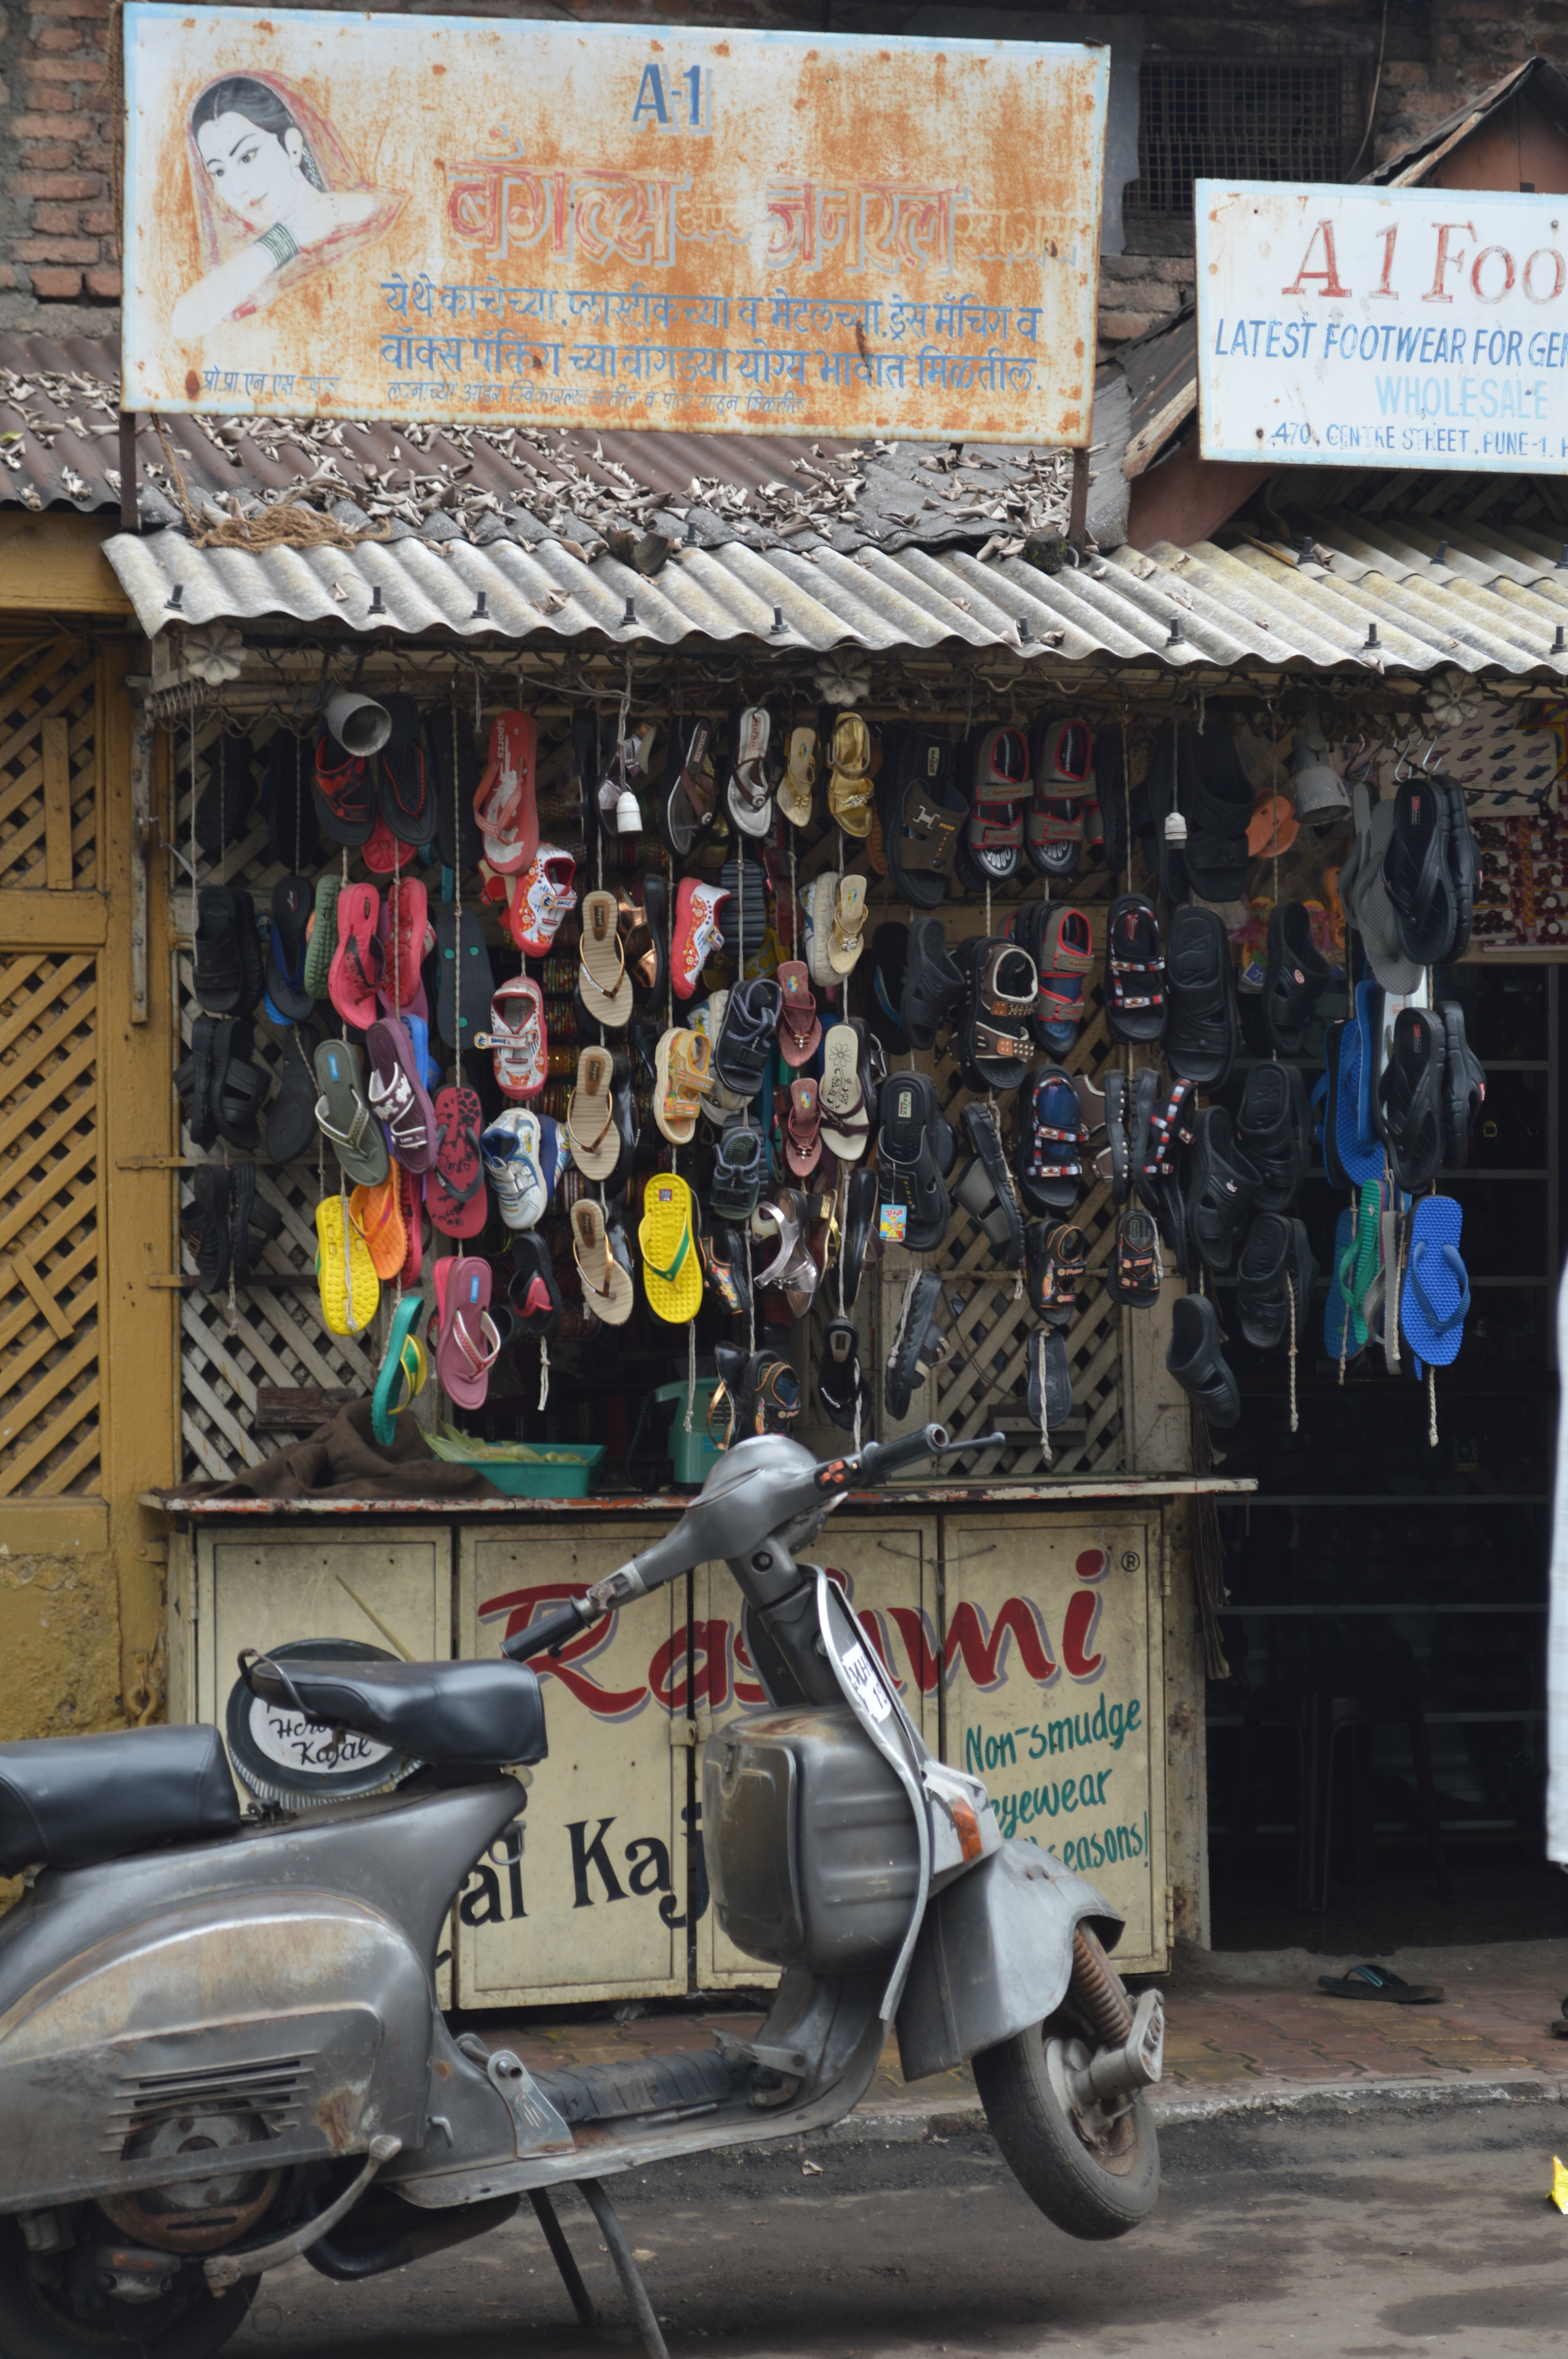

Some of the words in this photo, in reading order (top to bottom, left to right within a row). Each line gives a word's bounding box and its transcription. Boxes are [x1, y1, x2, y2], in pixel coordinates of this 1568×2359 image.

[626, 57, 712, 149] A-1
[433, 112, 705, 274] बँगल्स
[749, 166, 967, 285] जनरल
[1270, 211, 1360, 312] A
[1360, 212, 1415, 310] 1
[197, 362, 301, 403] प्रो.प्रा.एन.एस.
[374, 268, 440, 322] येथे
[371, 322, 468, 378] बॉक्स
[439, 271, 572, 329] काचेच्या,
[465, 324, 568, 380] पँकिंग
[562, 339, 619, 384] च्या
[561, 276, 737, 333] प्लास्टीकच्या
[619, 334, 735, 386] बांगडया
[732, 286, 769, 334] व
[732, 334, 815, 389] योग्य
[766, 284, 889, 342] मेटलच्या,
[812, 345, 913, 395] भावात
[887, 290, 933, 347] ड्रेस
[931, 287, 1015, 344] मँचिग
[913, 343, 1047, 400] मिळतील.
[1014, 300, 1049, 347] व
[1207, 314, 1321, 367] LATEST
[1316, 317, 1472, 370] FOOTWEAR
[1364, 369, 1559, 426] WHOLESALE
[1468, 325, 1526, 375] FOR
[953, 1687, 1150, 1778] Non-smudge
[558, 1794, 709, 1940] Kaj